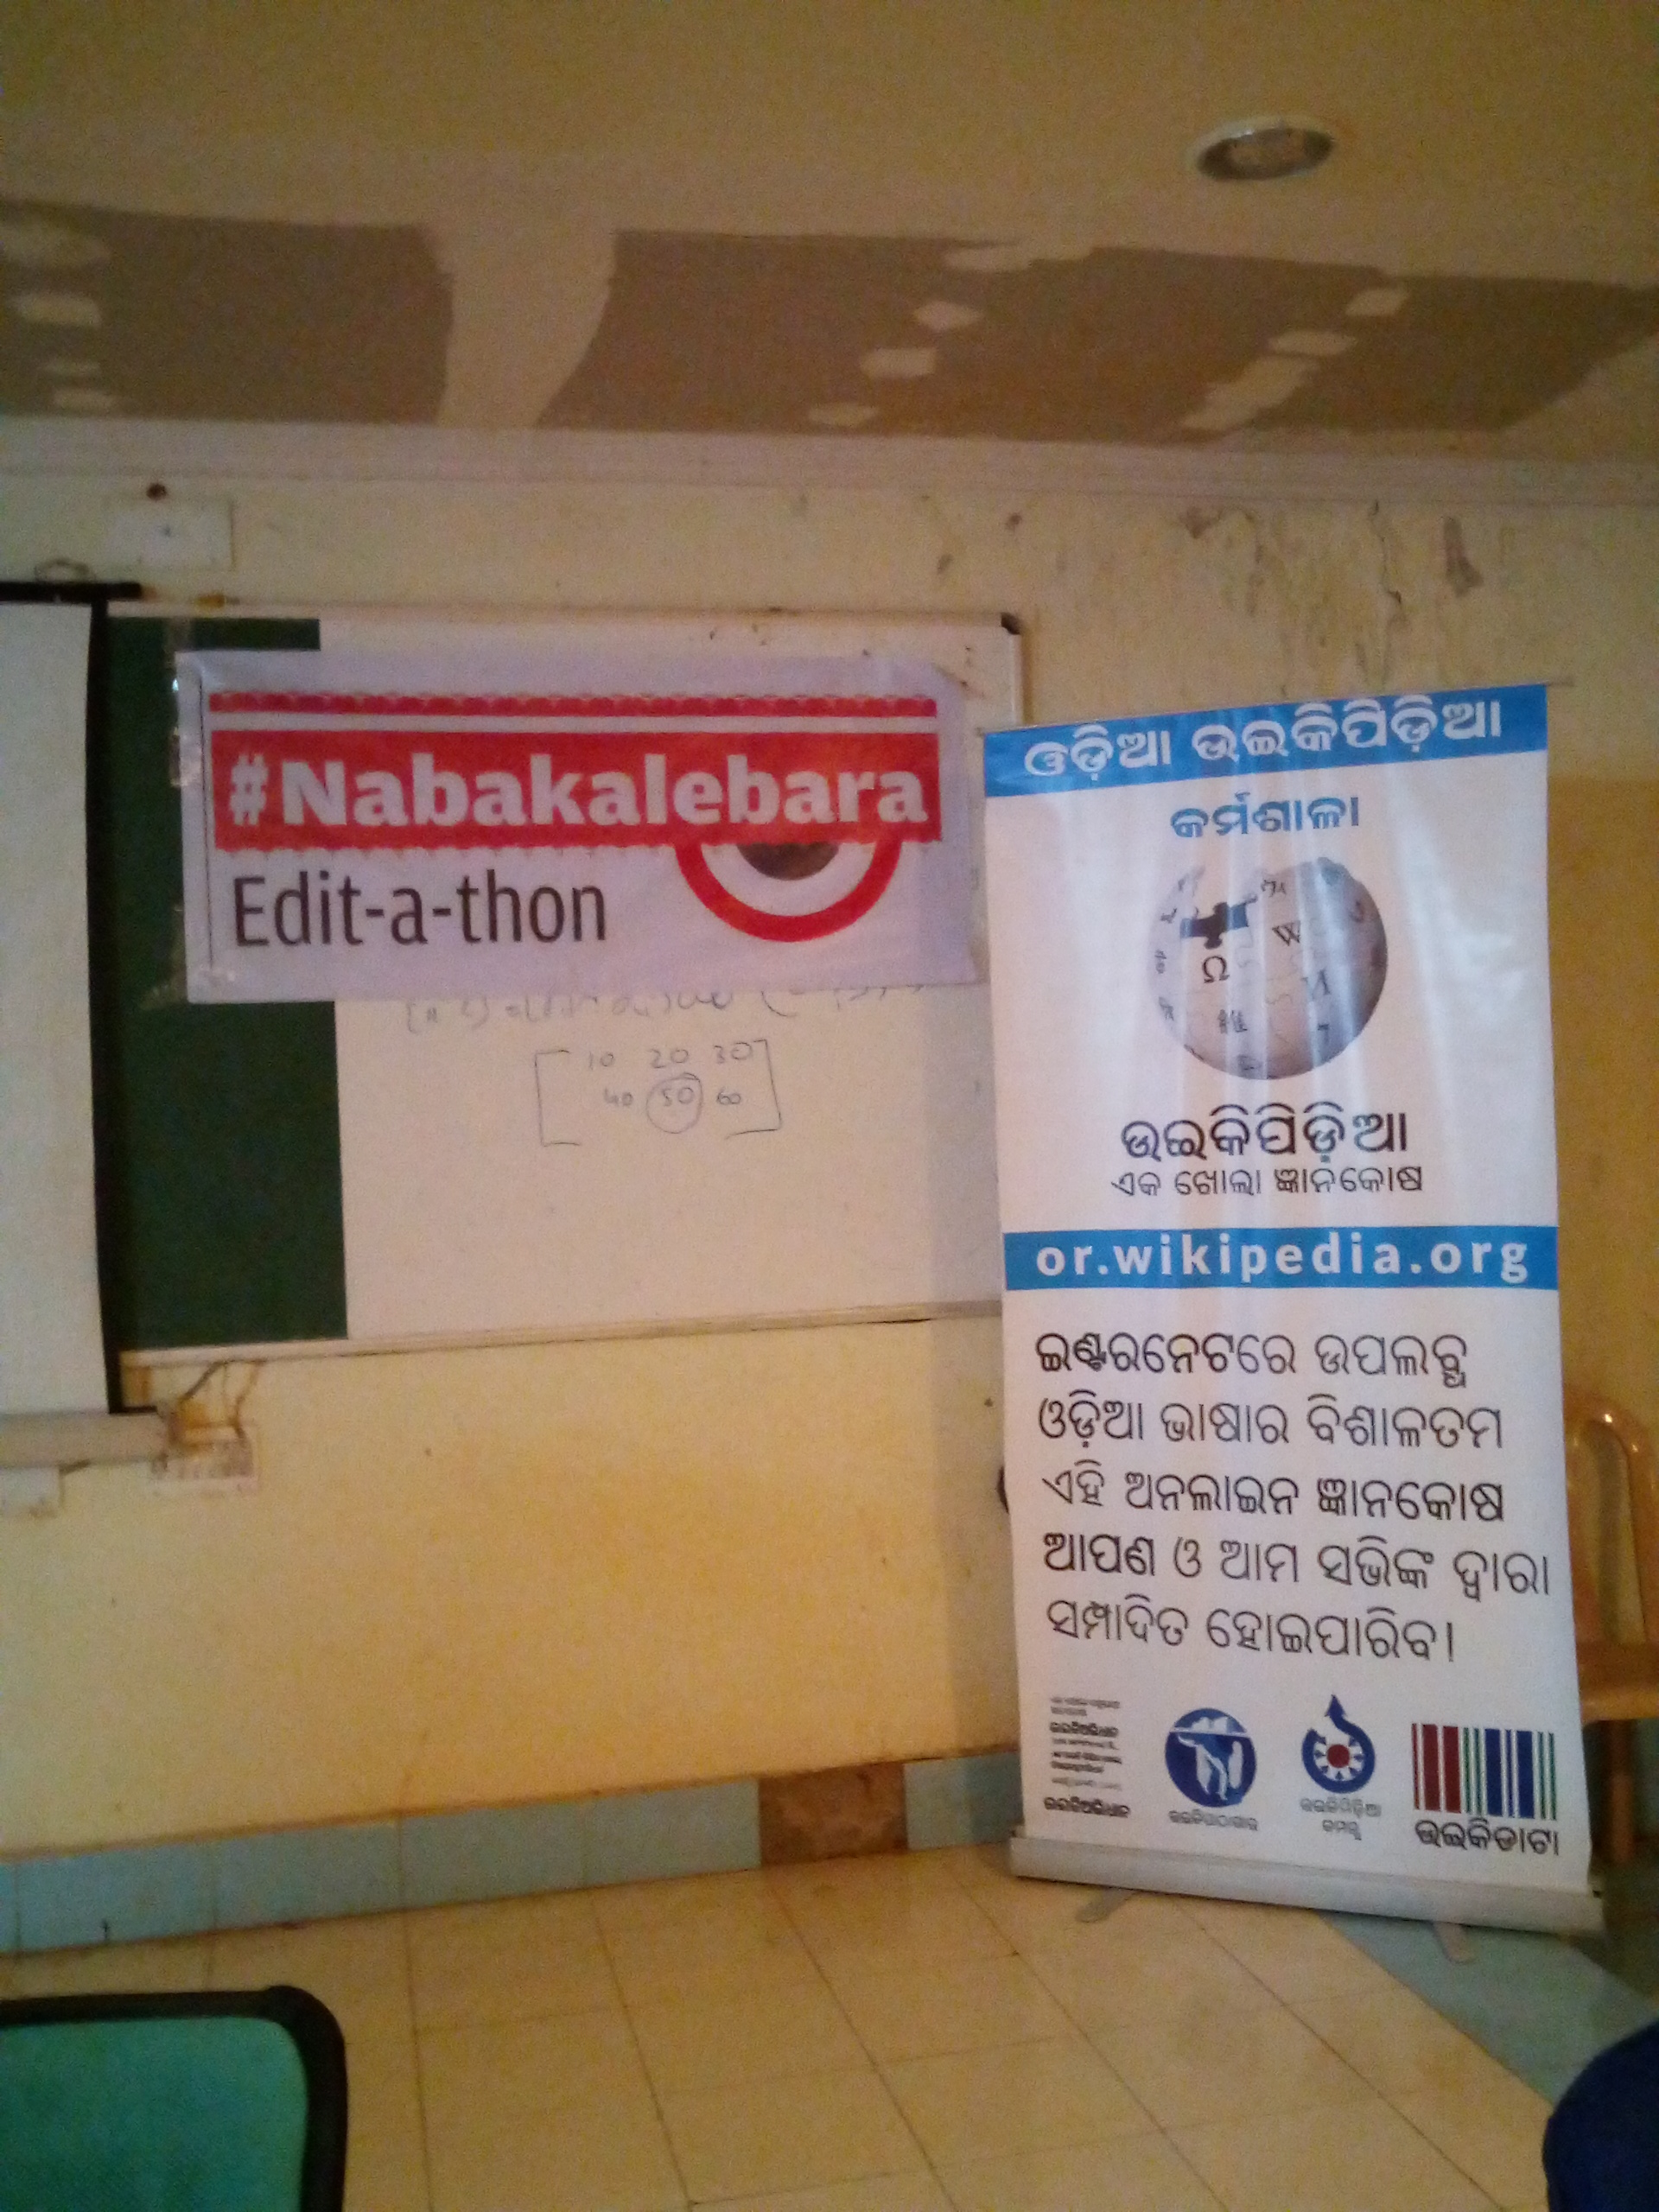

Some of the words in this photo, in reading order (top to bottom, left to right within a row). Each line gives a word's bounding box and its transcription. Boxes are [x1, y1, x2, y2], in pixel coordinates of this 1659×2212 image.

[1014, 715, 1180, 786] ଓଡ଼ିଆ
[1184, 684, 1512, 774] ଉଇକିପିଡ଼ିଆ
[266, 738, 944, 833] Nabakalebara
[1160, 785, 1370, 845] କର୍ମଶାଳା
[226, 857, 370, 954] Edit
[382, 857, 619, 952] a-thon
[1103, 1092, 1415, 1173] ଉଇକିପିଡ଼ିଆ
[1104, 1163, 1172, 1205] ଏକ
[1161, 1163, 1265, 1208] ଖୋଲା
[1262, 1158, 1431, 1203] ଜ୍ଞାନକୋଷ
[1024, 1221, 1540, 1286] or.wikipedia.org
[1030, 1320, 1300, 1381] ଇଣ୍ଟରନେଟରେ
[1305, 1331, 1479, 1391] ଉପଲବ୍ଧ
[1028, 1378, 1152, 1454] ଓଡ଼ିଆ
[1158, 1387, 1296, 1454] ଭାଷାର
[1296, 1380, 1508, 1459] ବିଶାଳତମା
[1018, 1446, 1110, 1515] ଏହି
[1109, 1462, 1309, 1522] ଅନଲାଇନ
[1312, 1467, 1512, 1525] ଜ୍ଞାନକୋଷ
[1034, 1521, 1160, 1583] ଆପଣ
[1160, 1528, 1210, 1586] ଓ
[1211, 1527, 1307, 1590] ଆମ
[1315, 1527, 1445, 1599] ସଭିଙ୍କ
[1432, 1544, 1555, 1609] ଦ୍ବାରା
[1039, 1583, 1199, 1652] ସମ୍ପାଦିତ
[1162, 1797, 1264, 1839] ଉଇକିପାଠାଗାର
[1413, 1808, 1567, 1860] ଉଇକିଡାଟା